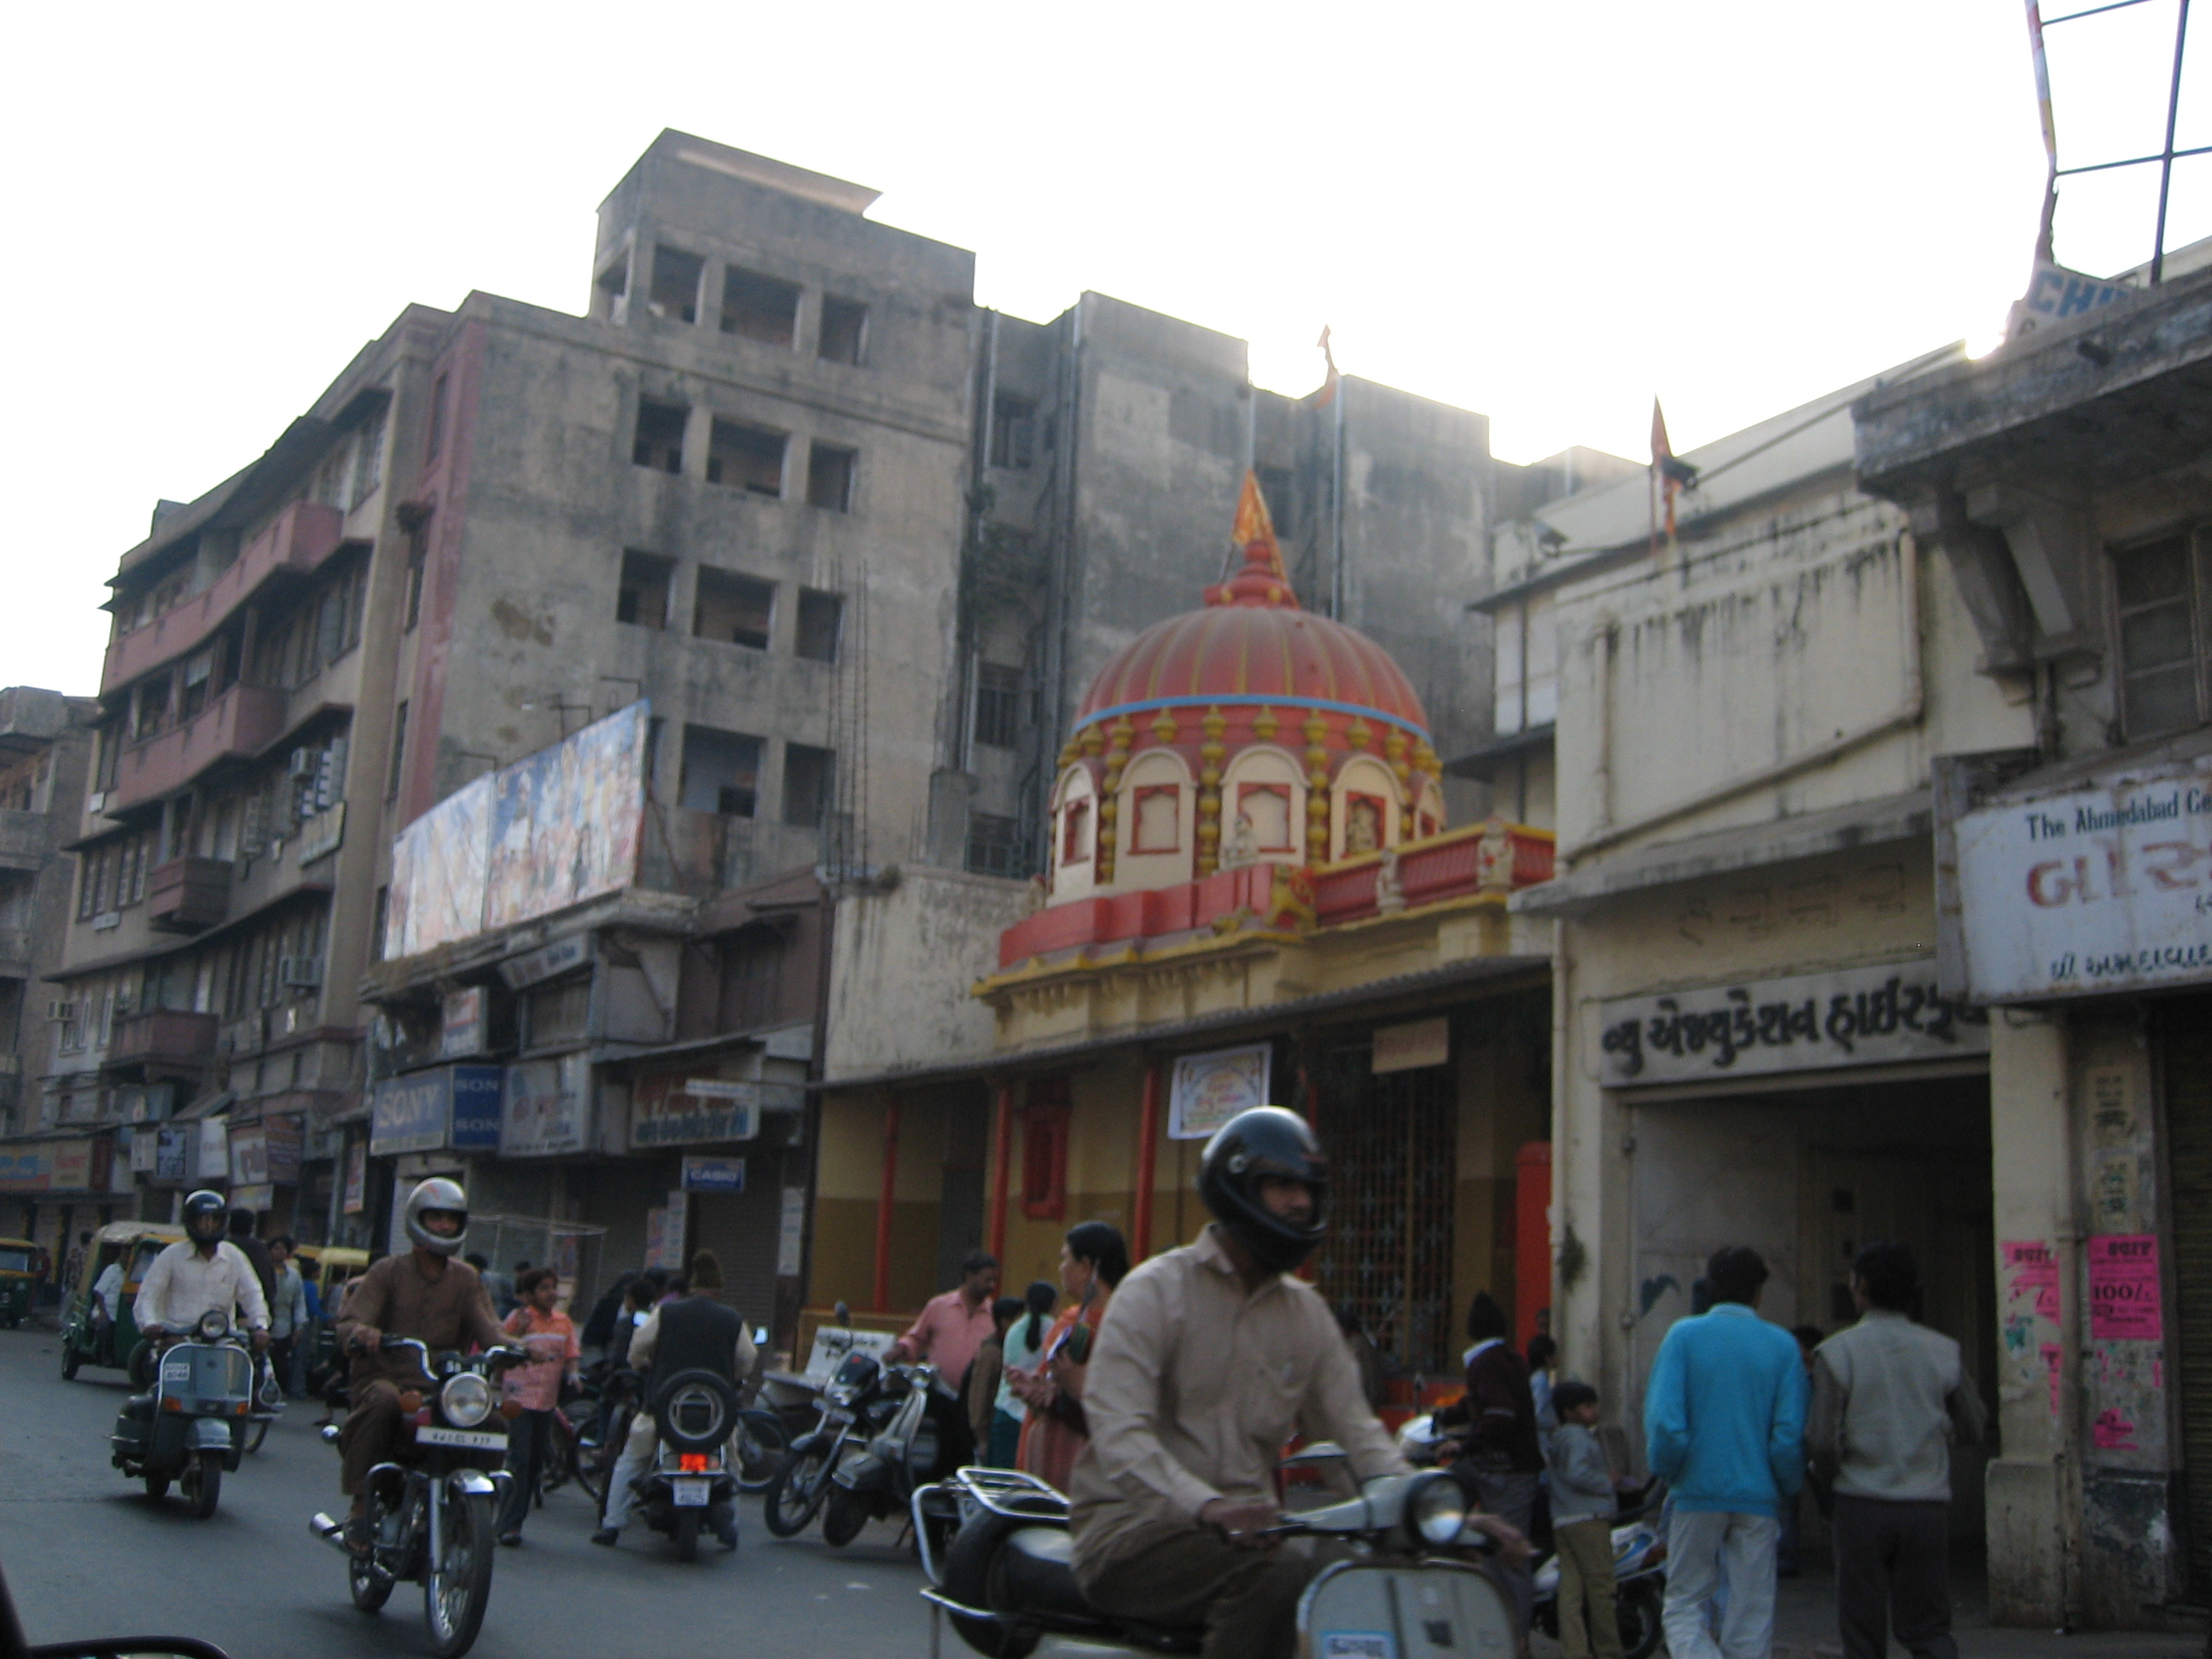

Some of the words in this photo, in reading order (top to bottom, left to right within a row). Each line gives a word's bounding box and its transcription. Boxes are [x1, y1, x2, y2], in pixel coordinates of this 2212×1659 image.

[2082, 784, 2205, 836] hmedabadC
[2023, 836, 2198, 917] લાર
[2082, 940, 2208, 978] અમદાવા
[1592, 976, 1822, 1091] ન્યુ એજ્યુકેશન
[1824, 976, 1958, 1048] હાઈર5